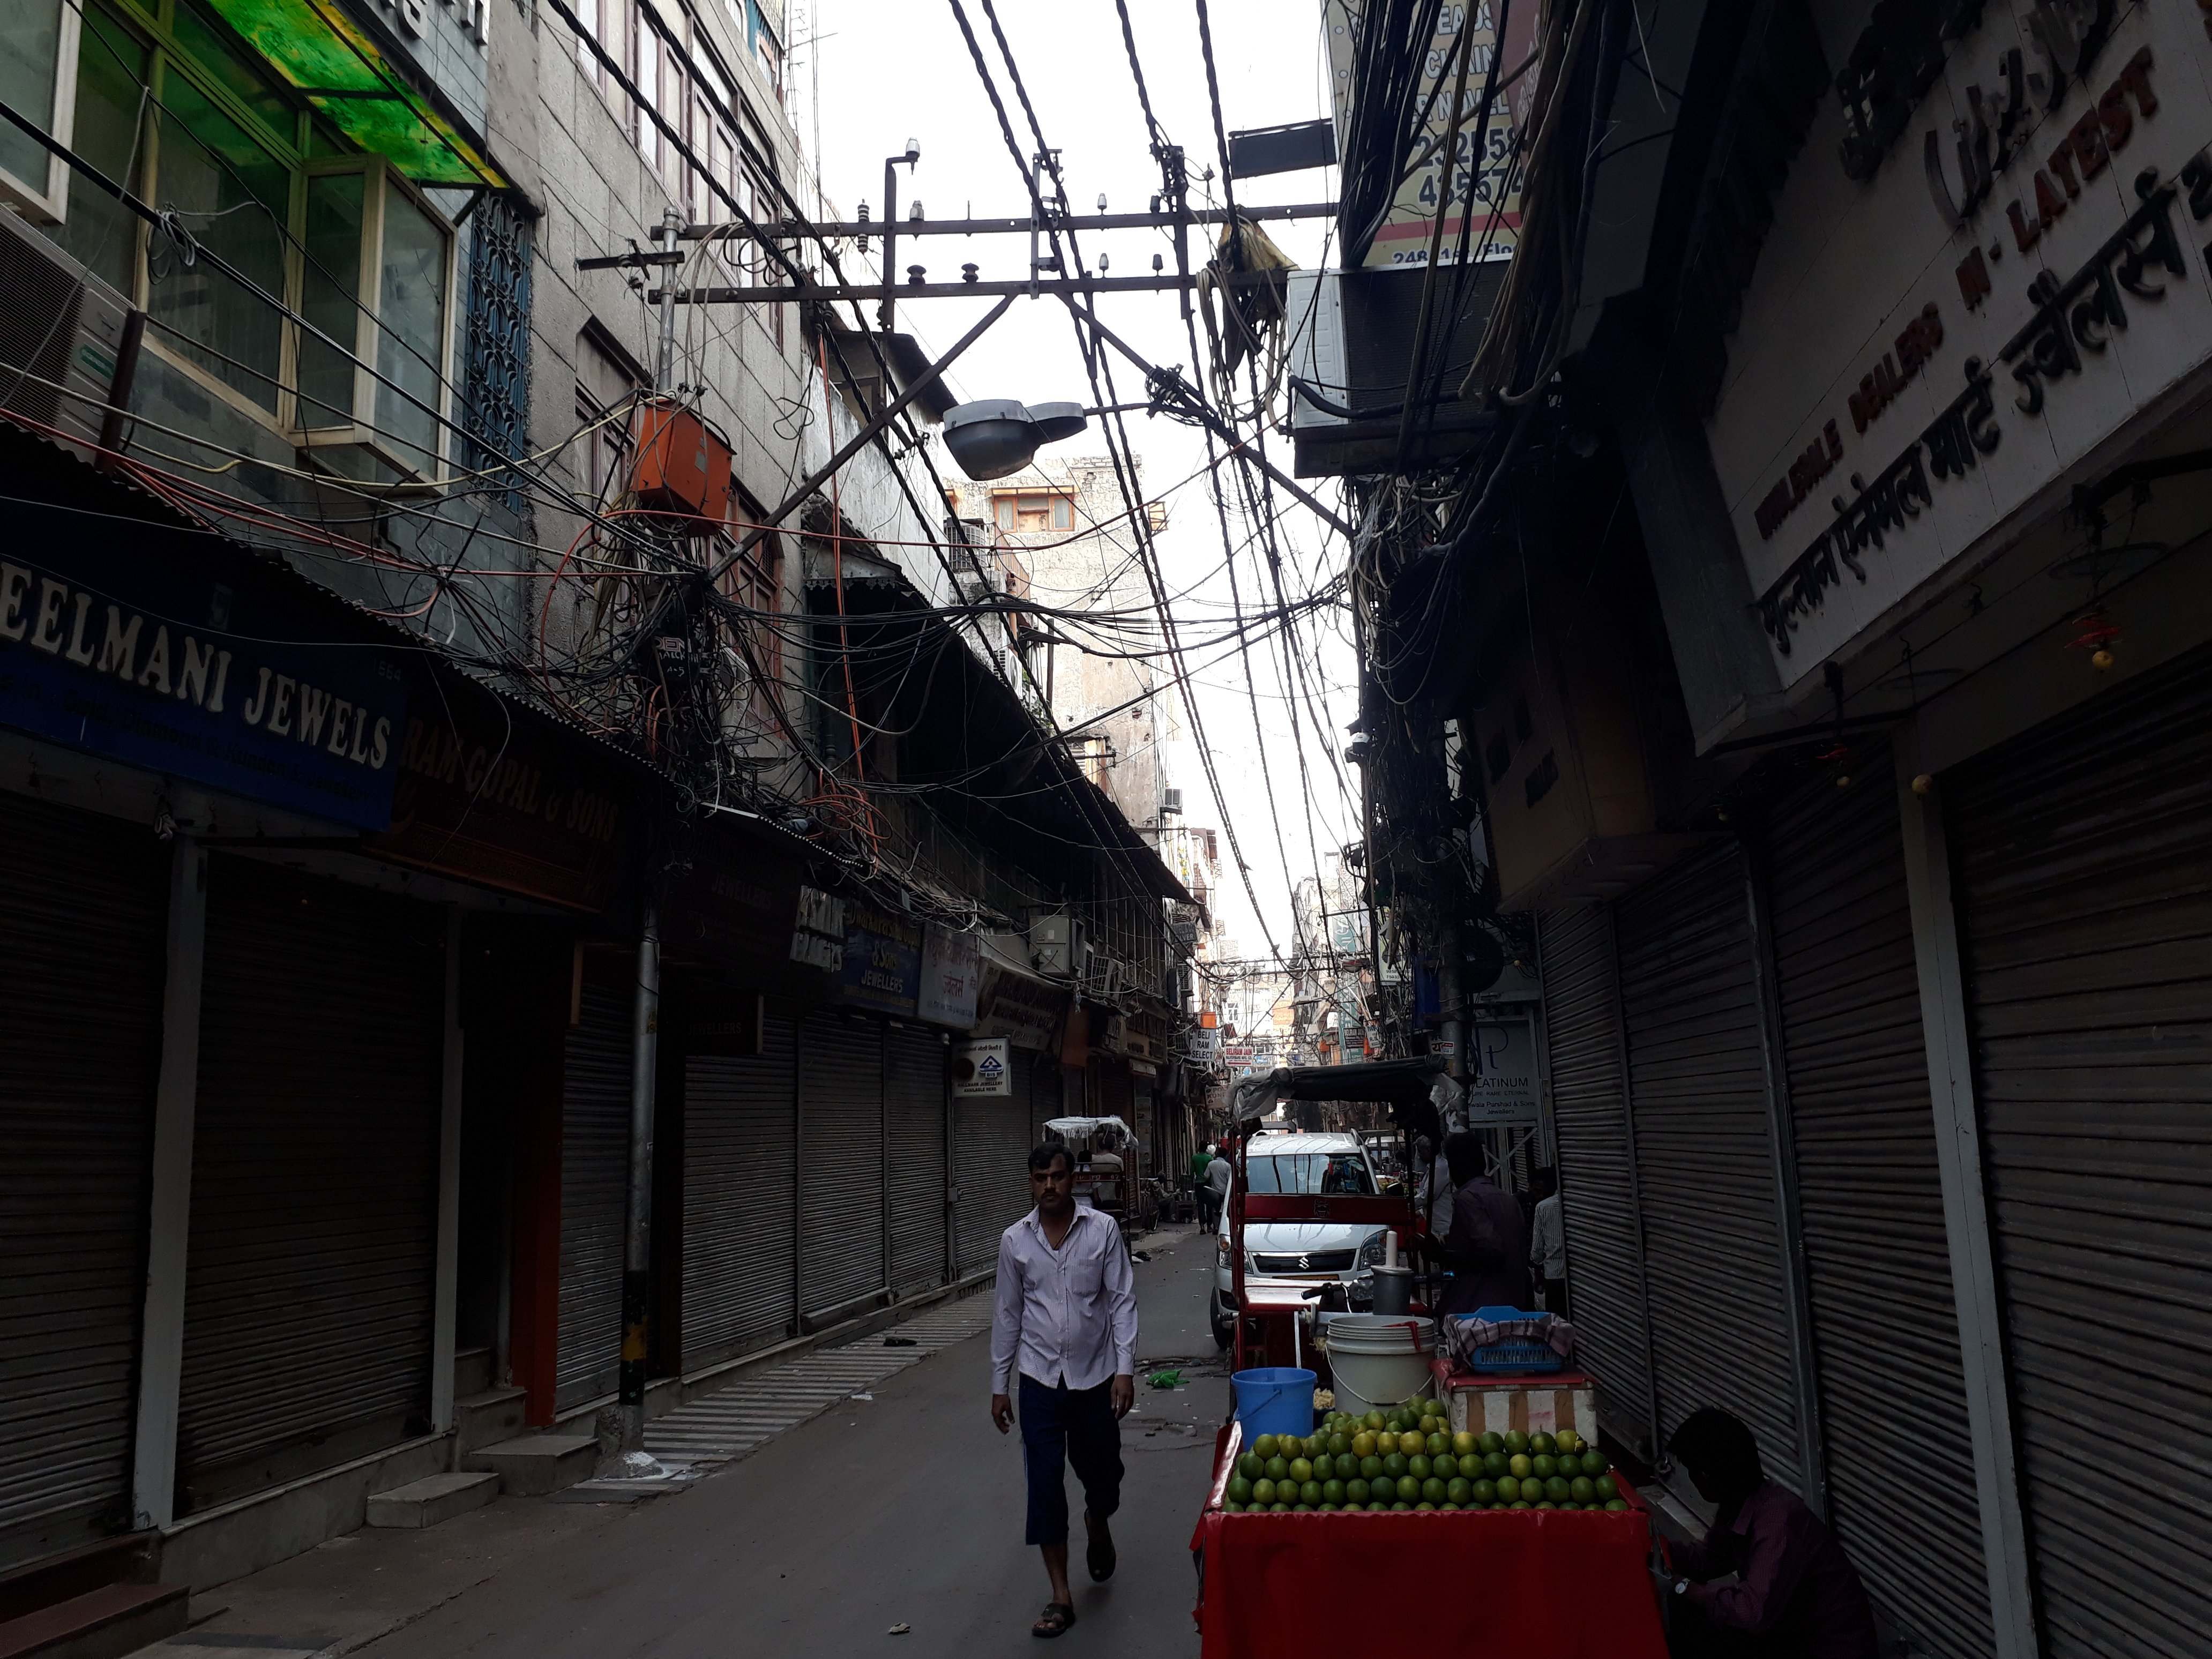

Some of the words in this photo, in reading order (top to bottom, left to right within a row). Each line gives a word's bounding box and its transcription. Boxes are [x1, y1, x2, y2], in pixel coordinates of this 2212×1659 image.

[1996, 41, 2167, 266] LATEST
[1993, 163, 2195, 425] ज्वैलर्स
[1840, 295, 1953, 443] DEALERS
[1915, 349, 2008, 494] मार्ट
[1822, 437, 1940, 589] ऐनेमल
[5, 556, 244, 718] EELMANI
[1750, 522, 1847, 663] मुल्तान
[235, 653, 404, 774] JEWELS
[389, 711, 470, 788] RAM
[455, 741, 549, 823] GOPAL
[553, 783, 627, 848] SONS